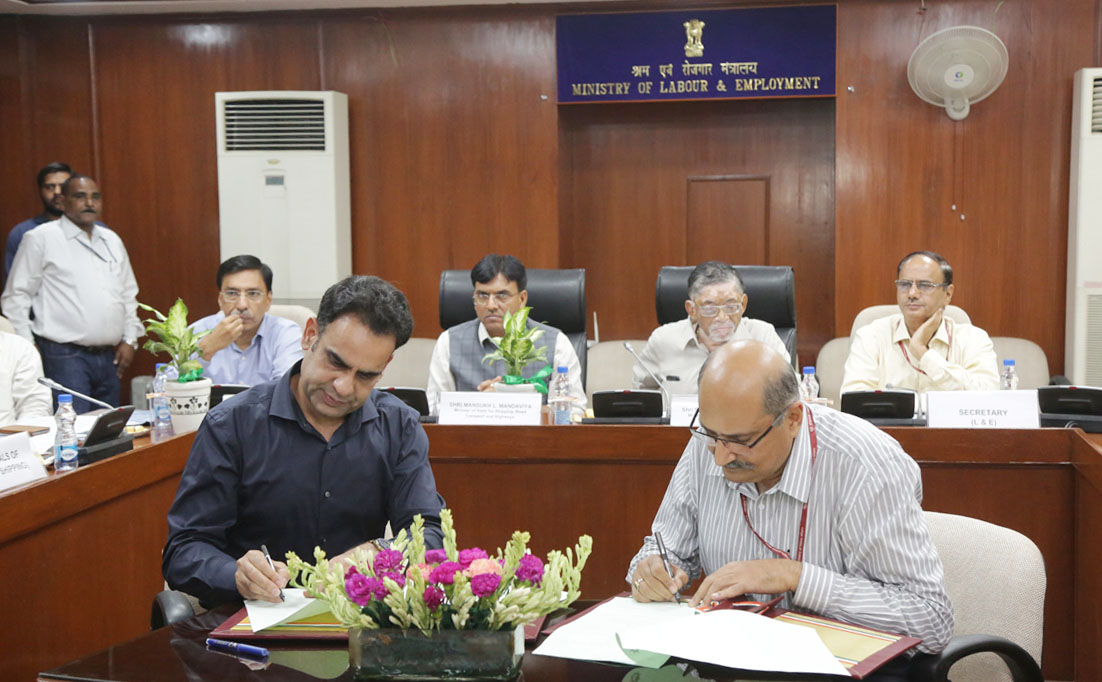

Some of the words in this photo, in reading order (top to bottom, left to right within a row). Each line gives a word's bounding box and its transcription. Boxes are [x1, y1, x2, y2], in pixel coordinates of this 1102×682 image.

[627, 62, 653, 82] श्रम
[655, 59, 677, 81] एवं
[677, 57, 716, 77] रोजगार
[717, 57, 763, 79] मंत्रालय
[569, 77, 634, 100] MINISTRY
[633, 78, 654, 98] OF
[656, 77, 711, 98] LABOUR
[711, 77, 731, 97] &
[732, 75, 822, 95] EMPLOYMENT
[952, 405, 1011, 419] SECRETARY